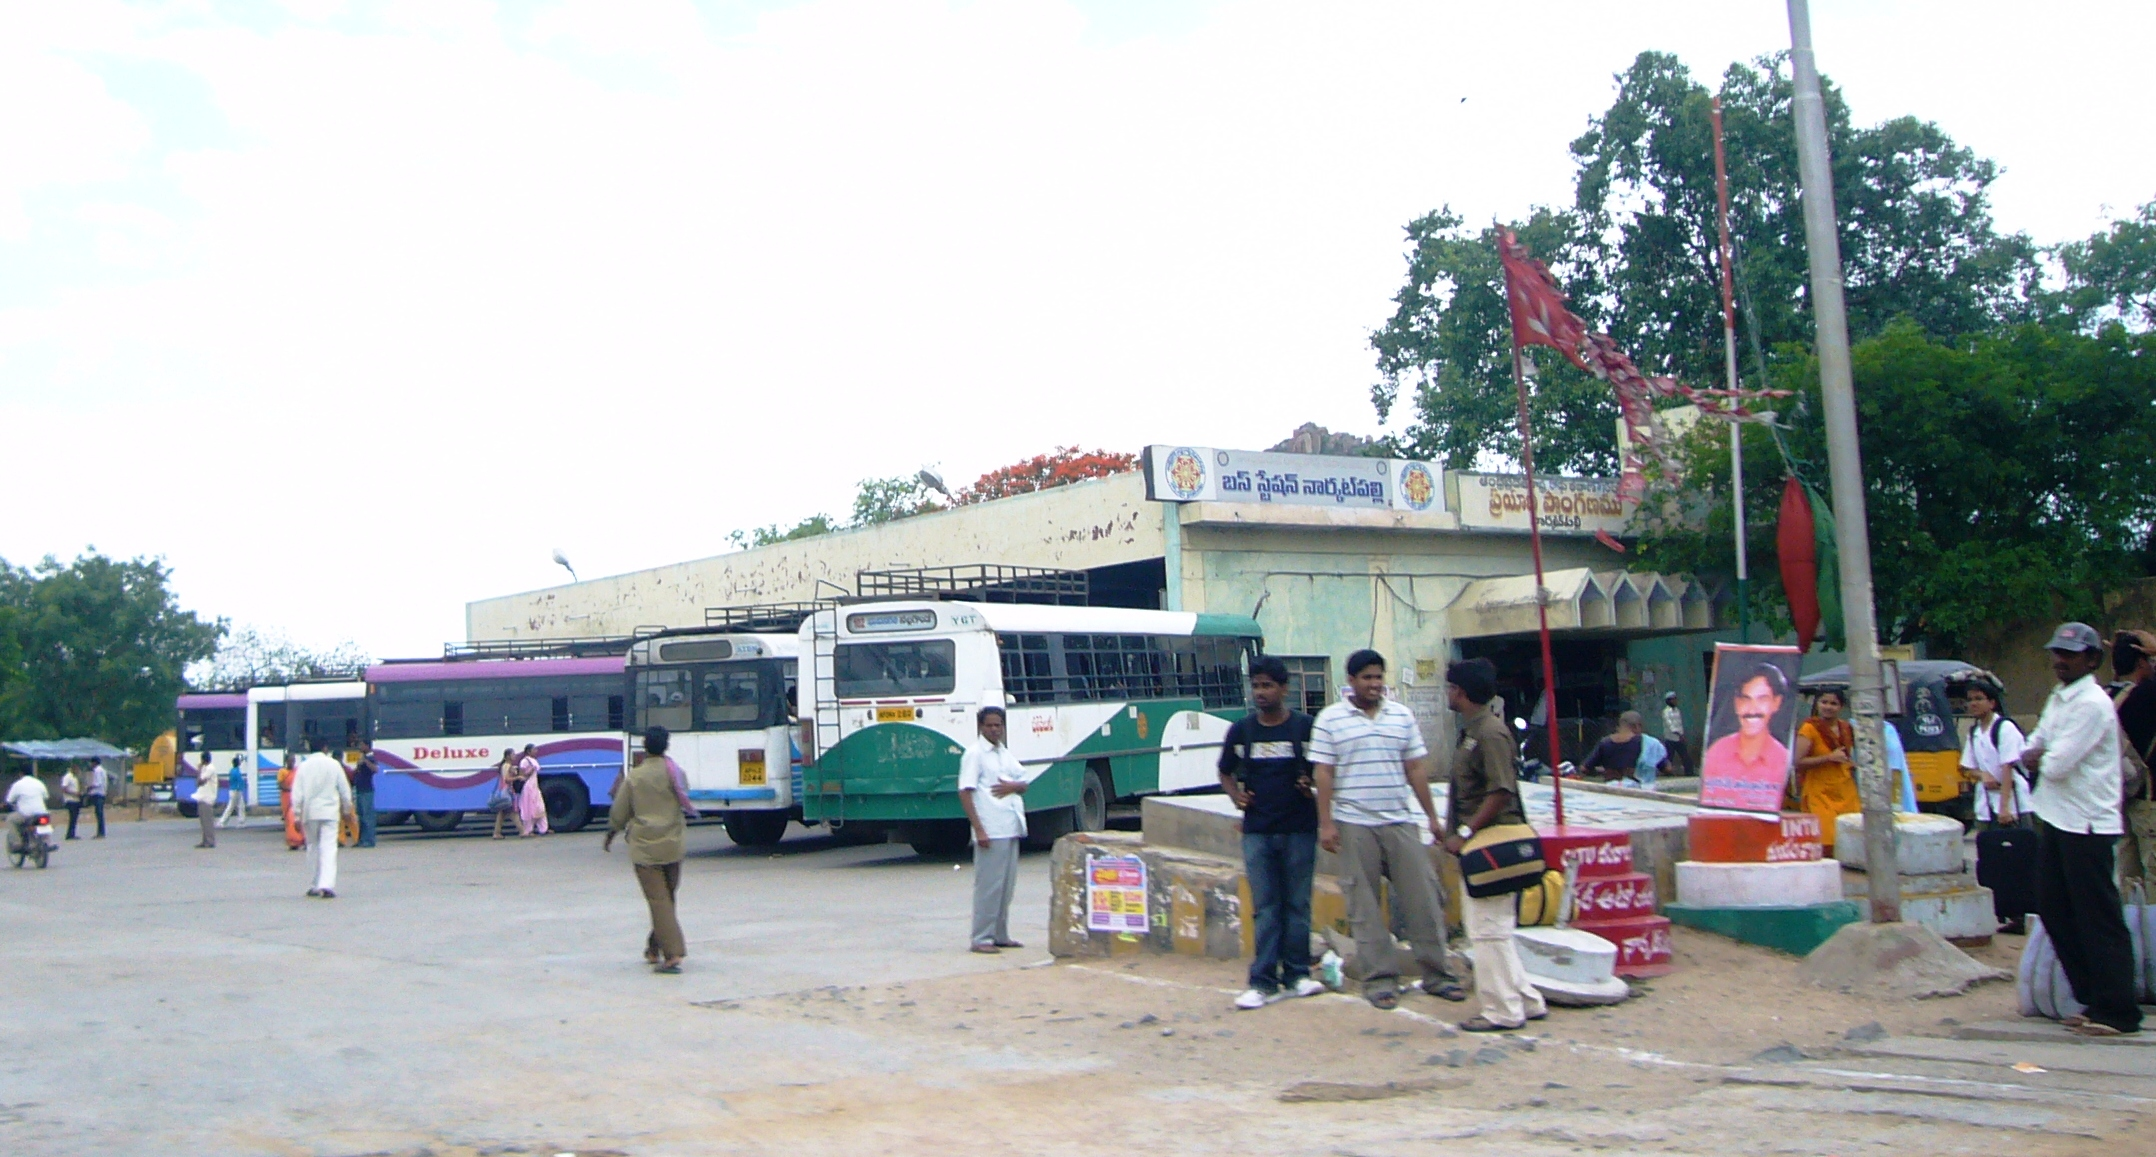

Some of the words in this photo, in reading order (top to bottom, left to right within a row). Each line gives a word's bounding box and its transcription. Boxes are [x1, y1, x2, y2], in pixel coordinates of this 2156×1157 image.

[1213, 465, 1257, 495] బస్
[1253, 459, 1303, 505] స్టేషన్
[1297, 469, 1388, 509] నార్కటిపల్లి
[1482, 480, 1543, 521] ప్రయీణ
[1539, 486, 1629, 515] పాంగణము
[408, 739, 497, 765] Deluxe